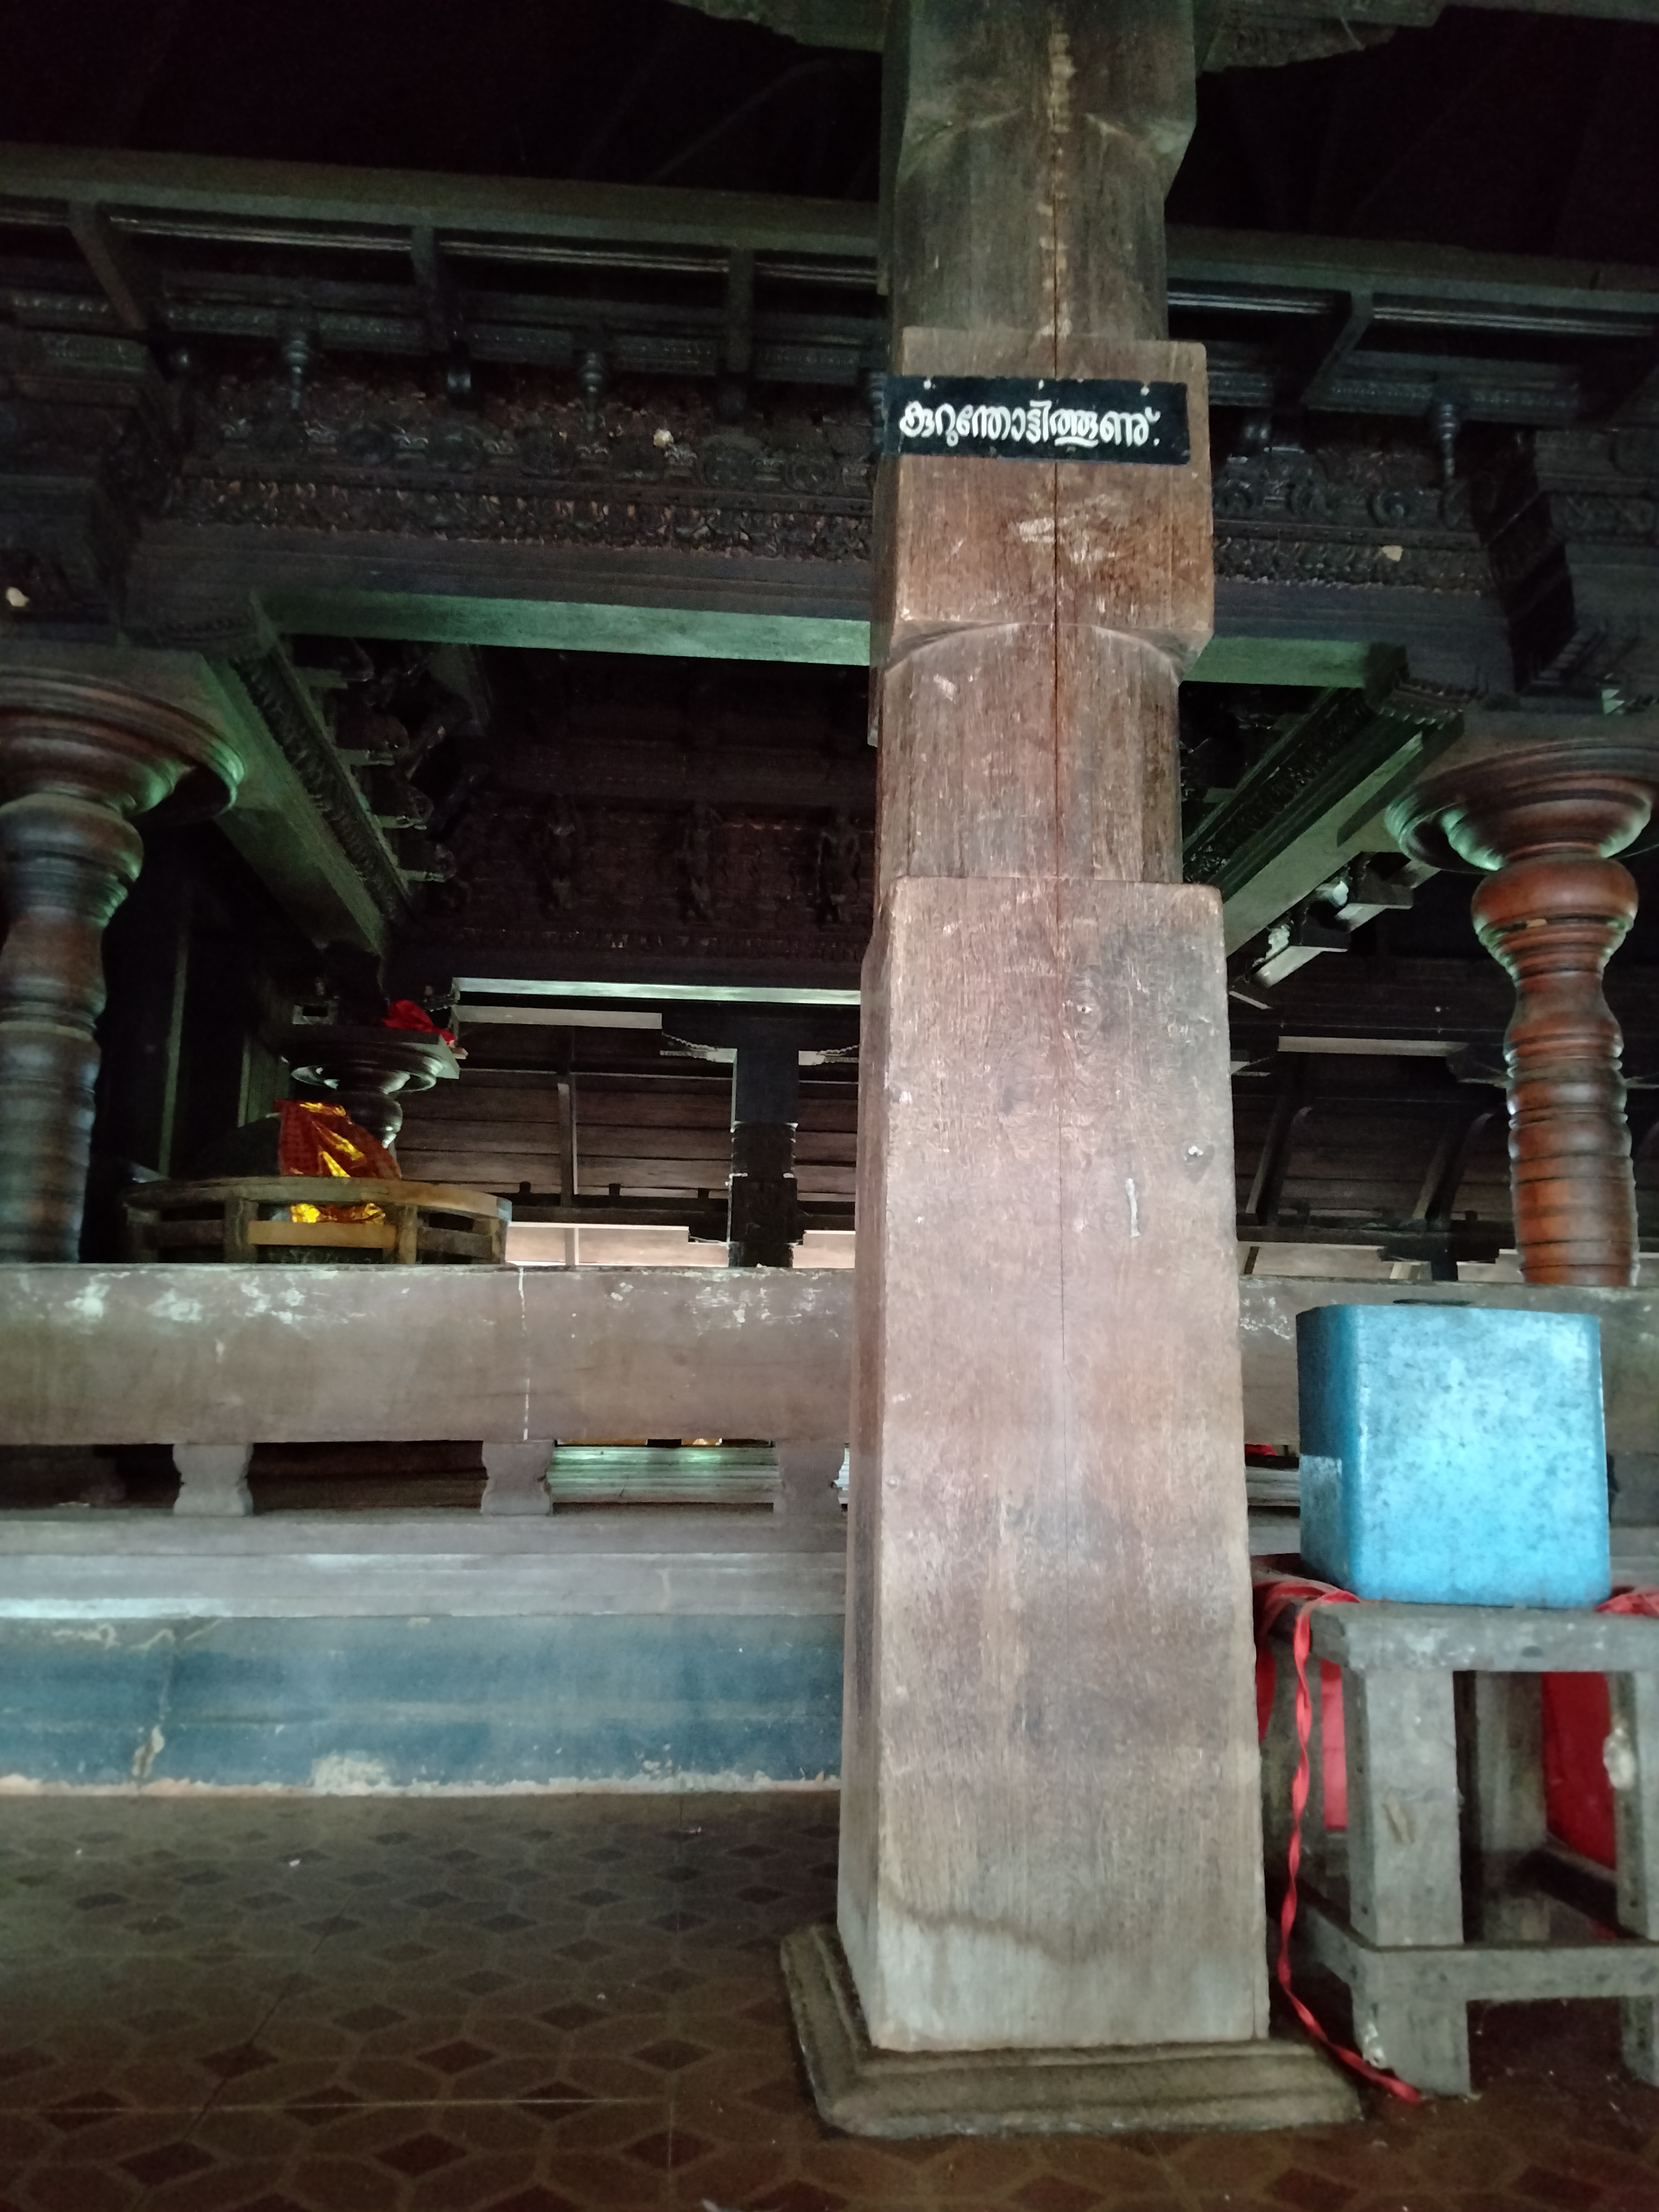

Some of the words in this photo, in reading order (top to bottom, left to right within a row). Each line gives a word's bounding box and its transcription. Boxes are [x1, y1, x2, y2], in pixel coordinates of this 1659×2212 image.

[898, 397, 1163, 450] കുറുന്തോട്ടിത്തൂണു്.